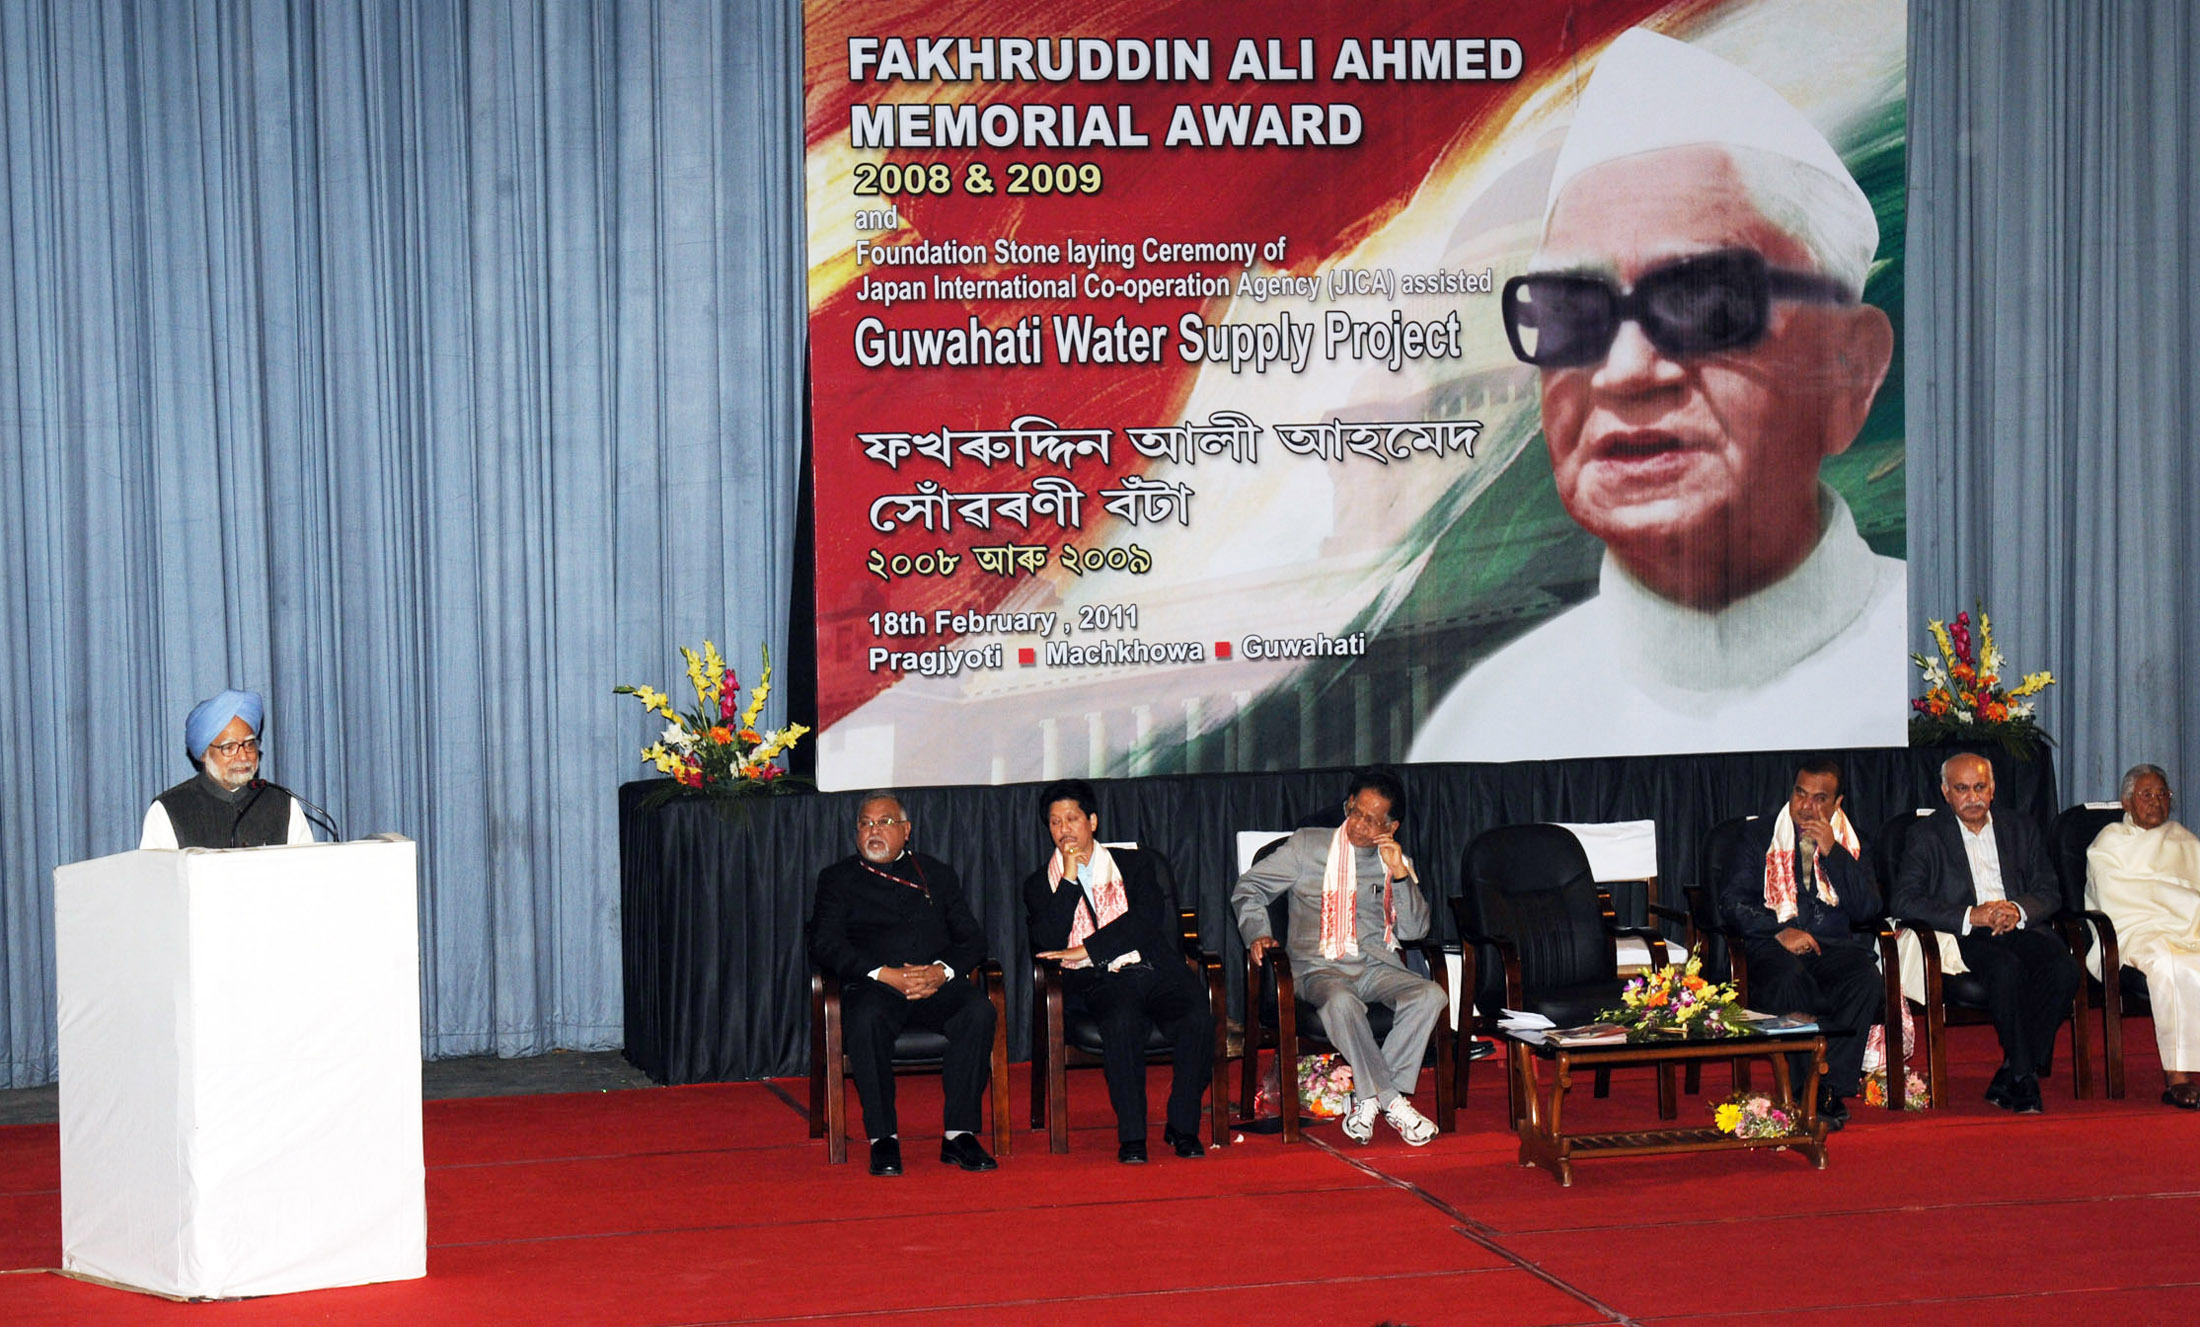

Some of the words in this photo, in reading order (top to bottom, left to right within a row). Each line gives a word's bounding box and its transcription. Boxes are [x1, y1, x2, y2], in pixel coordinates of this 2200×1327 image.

[842, 32, 1219, 88] FAKHRUDDIN
[1223, 31, 1317, 87] ALI
[1328, 29, 1531, 88] AHMED
[845, 99, 1152, 152] MEMORIAL
[1156, 97, 1373, 152] AWARD
[846, 157, 950, 202] 2008
[959, 160, 994, 202] &
[1007, 162, 1098, 198] 2009
[850, 202, 903, 236] and
[851, 232, 993, 271] Foundation
[991, 233, 1061, 269] Stone
[1061, 227, 1142, 276] laying
[1134, 226, 1263, 275] Ceremony
[1255, 231, 1295, 266] of
[855, 274, 927, 307] Japan
[930, 264, 1086, 305] International
[1075, 264, 1239, 305] Co-operation
[1236, 268, 1333, 309] Agency
[1324, 265, 1396, 301] (JICA)
[1400, 267, 1497, 296] assisted
[848, 302, 1047, 370] Guwahati
[1051, 310, 1169, 370] Water
[1176, 308, 1315, 377] Supply
[1320, 296, 1472, 379] Project
[855, 405, 1124, 474] ফখৰুদ্দিন
[1120, 399, 1268, 469] আলী
[1264, 413, 1488, 465] আহমেদ
[864, 470, 1087, 539] সোঁৱৰণী
[1088, 471, 1196, 530] বঁটা
[865, 542, 964, 586] ২০০৮
[967, 533, 1059, 585] আৰু
[1053, 537, 1162, 584] ২০০৯
[862, 601, 935, 642] 18th
[858, 633, 1011, 683] Pragjyoti
[932, 602, 1064, 641] February
[1072, 593, 1145, 637] 2011
[1041, 632, 1211, 667] Machkhowa
[1235, 626, 1373, 664] Guwahati